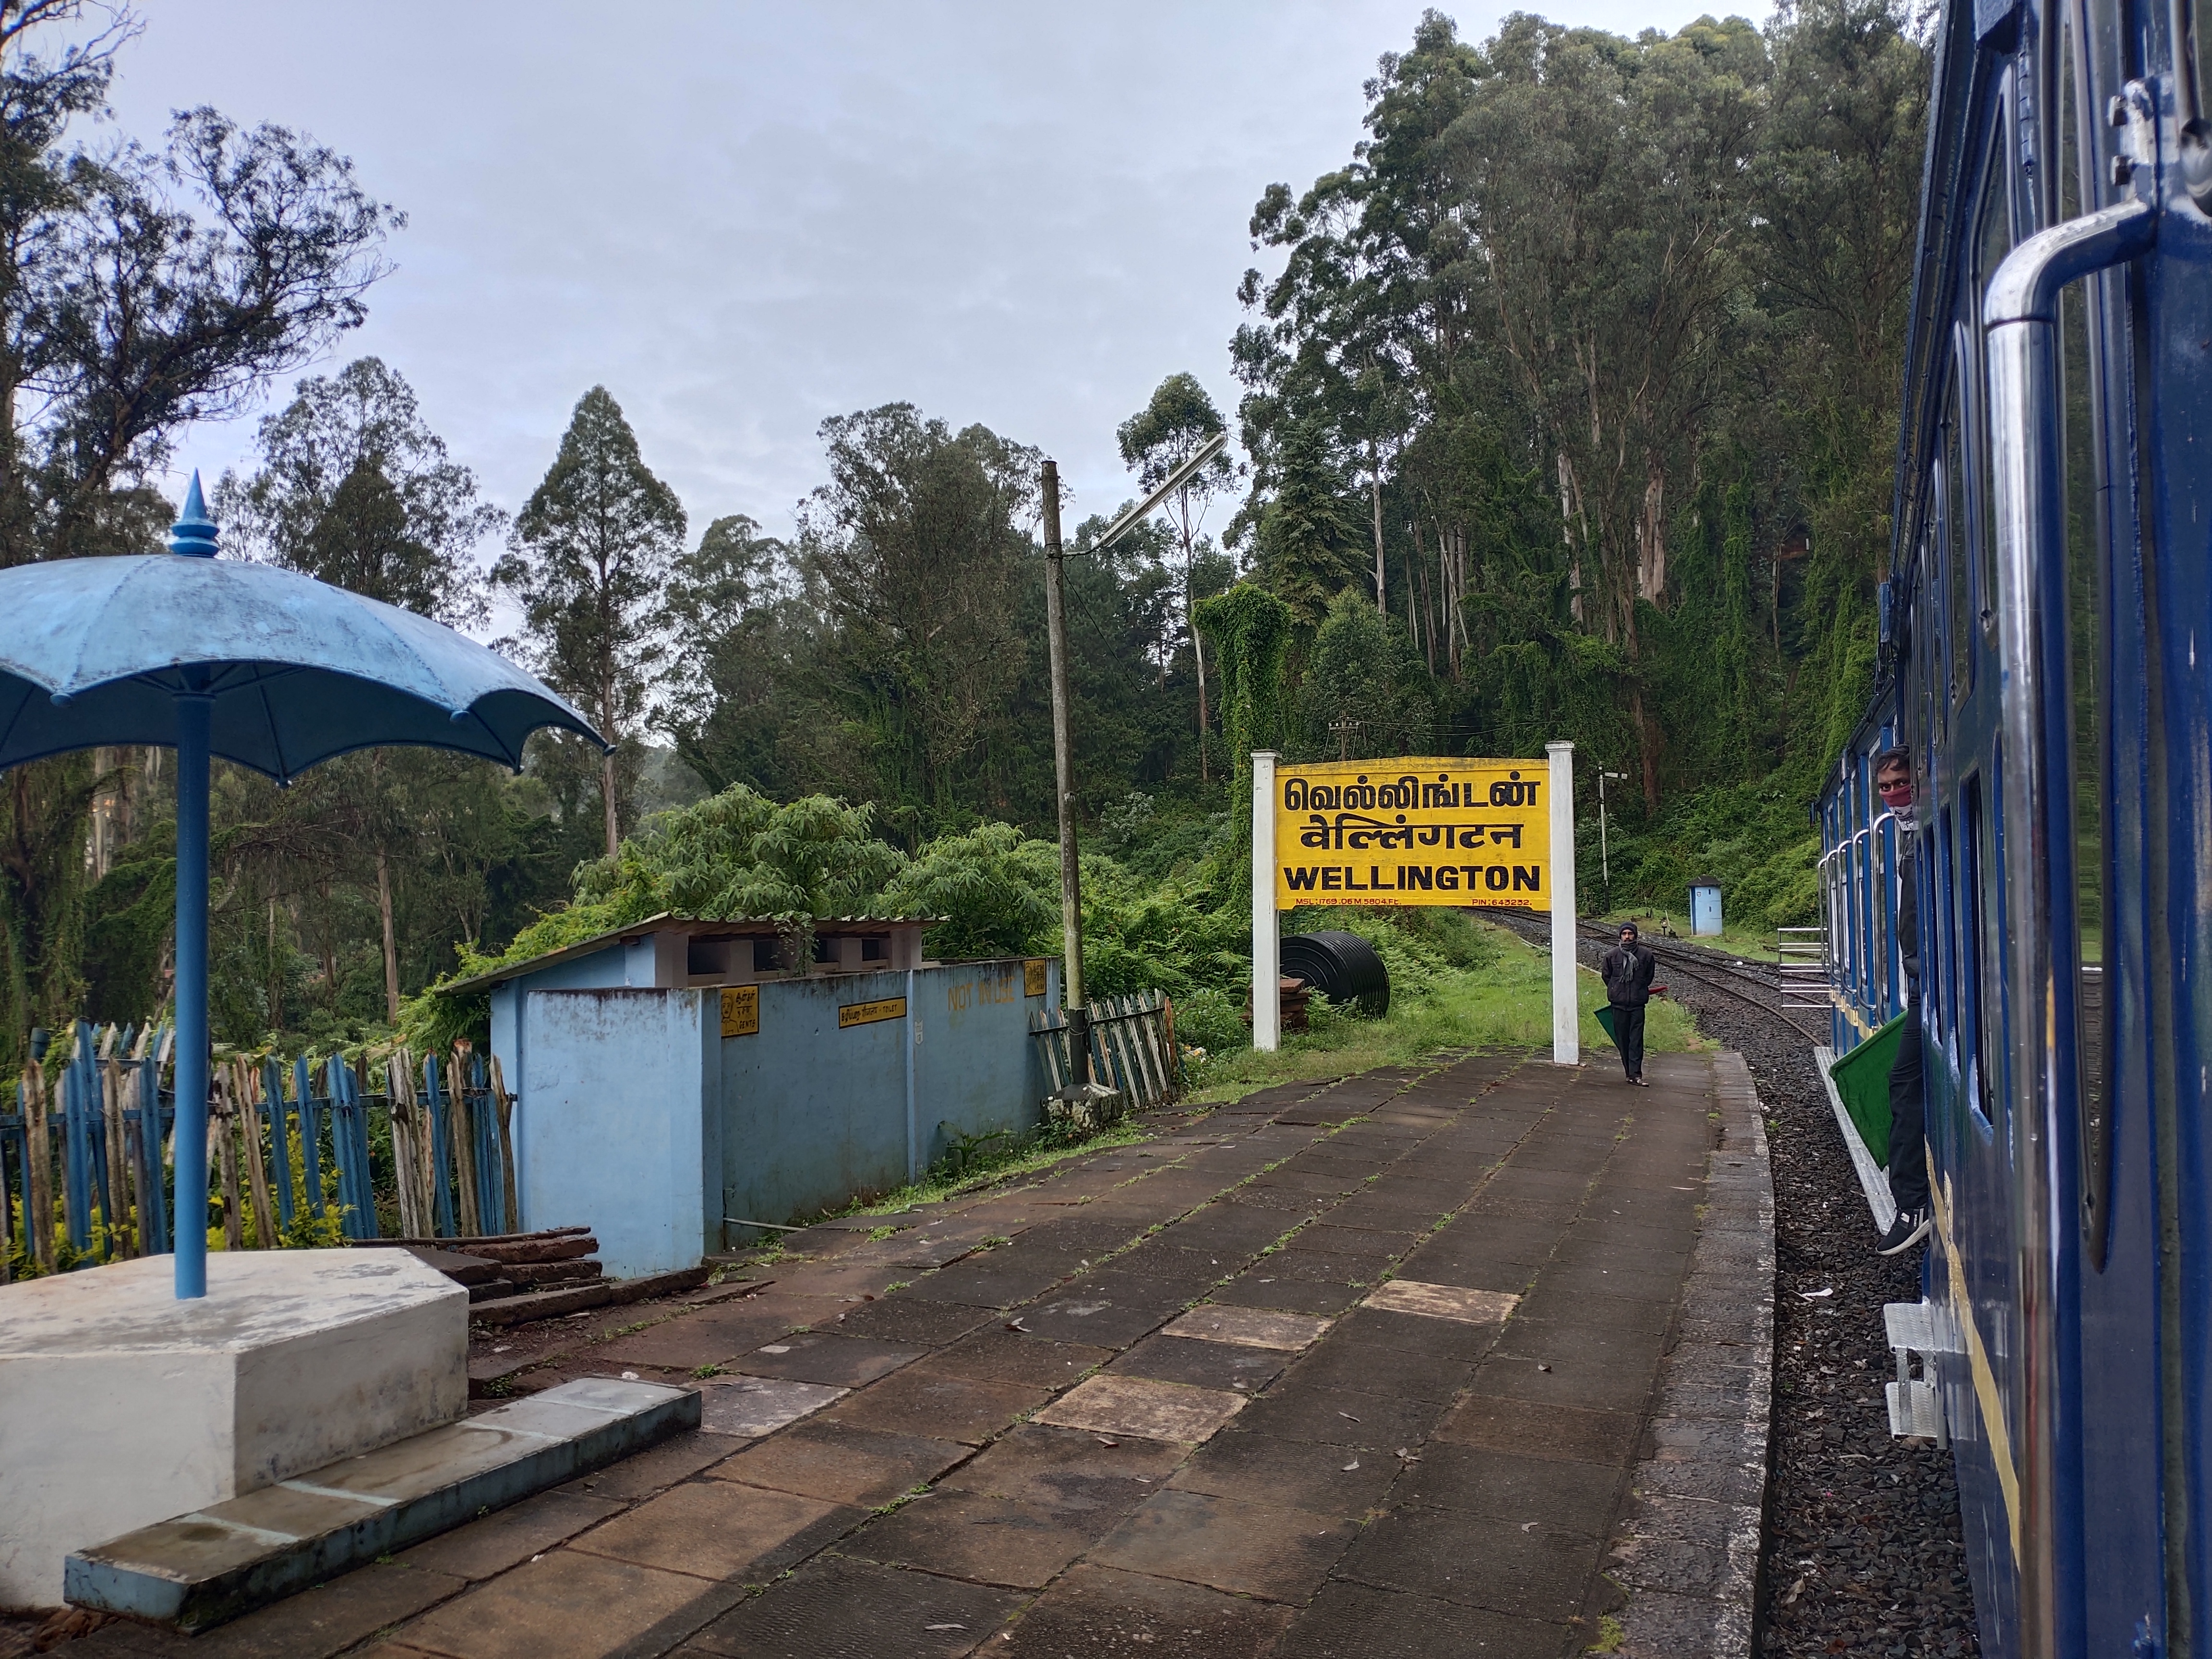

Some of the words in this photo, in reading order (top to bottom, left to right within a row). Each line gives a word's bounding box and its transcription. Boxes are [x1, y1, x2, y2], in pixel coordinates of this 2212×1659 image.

[1282, 770, 1544, 813] வெல்லிங்டன்
[1297, 810, 1525, 851] वेल्लिंगटन
[1282, 863, 1542, 892] WELLINGTON
[1294, 897, 1401, 908] MSL:1769.06M.5804.Ft
[1469, 896, 1533, 908] PIN:643232.